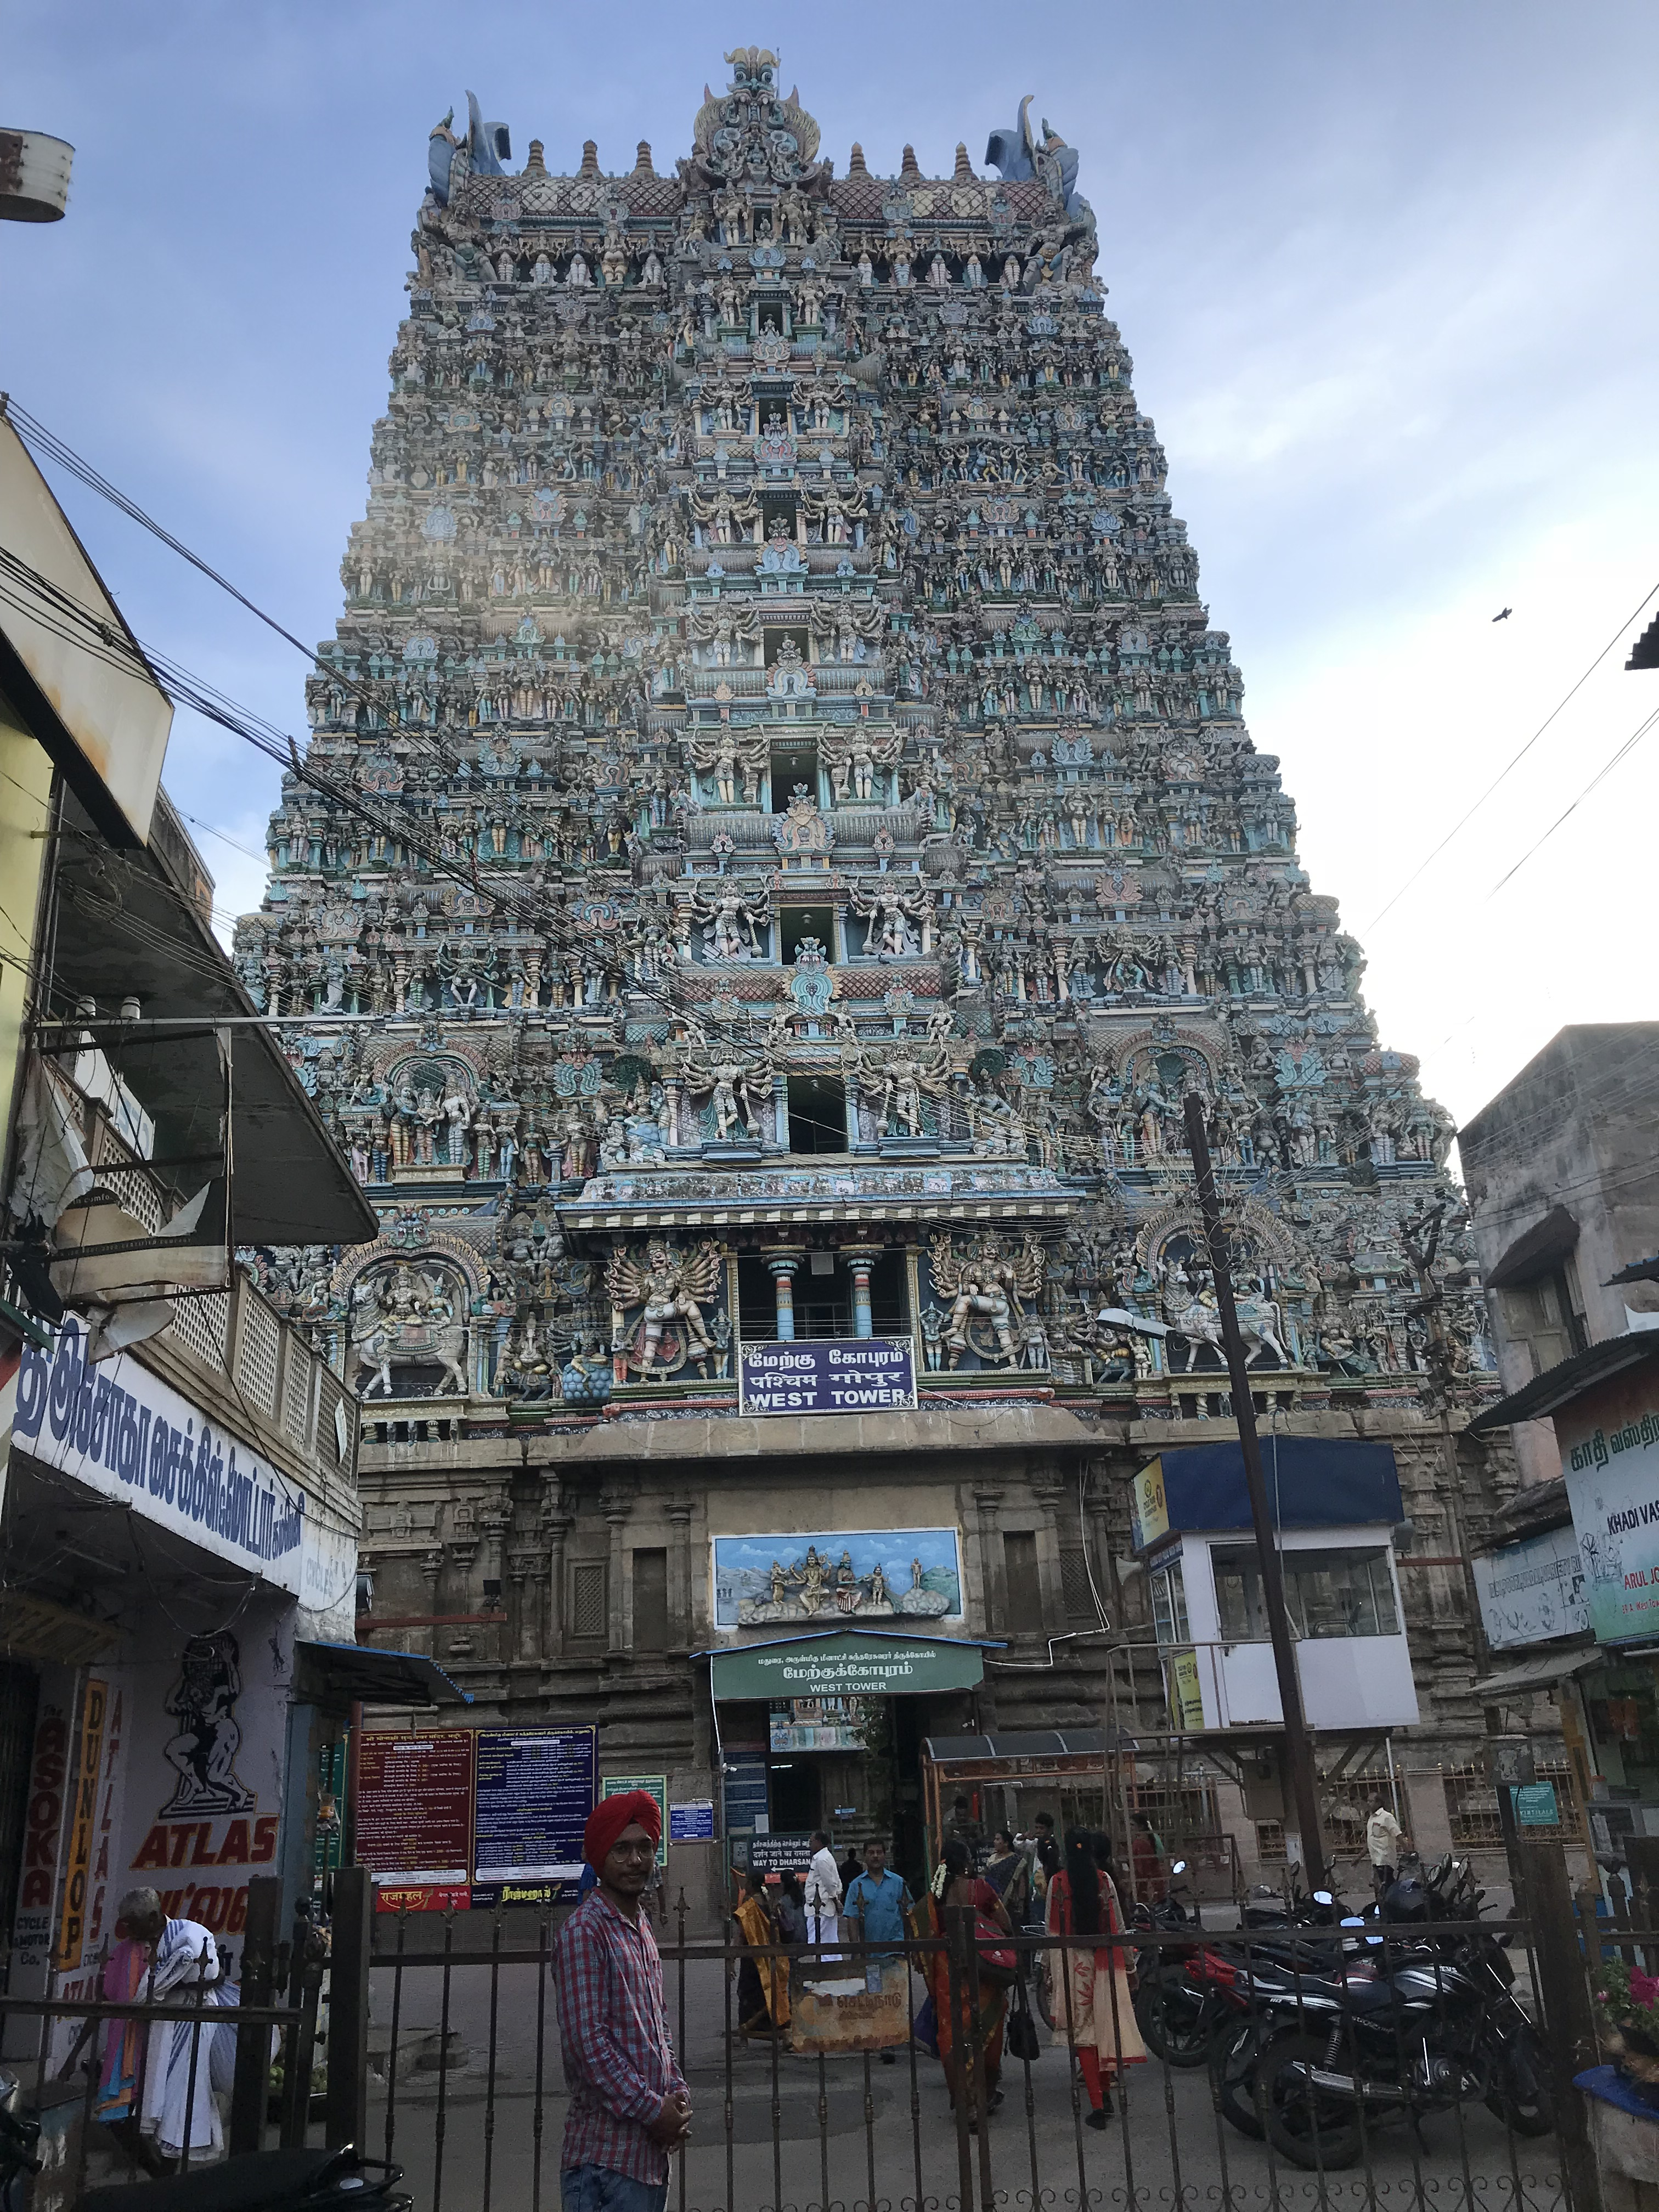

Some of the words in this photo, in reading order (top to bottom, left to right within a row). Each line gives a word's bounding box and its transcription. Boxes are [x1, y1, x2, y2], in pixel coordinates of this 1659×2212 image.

[746, 1347, 818, 1373] மேற்கு
[826, 1345, 905, 1369] கோபுரம்
[748, 1368, 819, 1391] पश्चिम
[828, 1363, 906, 1390] गोपुर
[746, 1389, 819, 1410] WEST
[830, 1386, 909, 1407] TOWER
[1608, 1408, 1658, 1455] வஸ்சி
[1564, 1424, 1612, 1473] காதி
[1604, 1504, 1642, 1537] KHADI
[1620, 1567, 1650, 1593] ARUL
[755, 1652, 786, 1667] மதுரை
[783, 1650, 821, 1666] அருள்மிகு
[817, 1649, 849, 1664] மீனாட்சி
[847, 1649, 895, 1664] சுந்தரேசுவரா்
[891, 1647, 939, 1663] திருக்கோயில்
[777, 1660, 917, 1683] மேற்குக்கோபுரம்
[808, 1681, 845, 1696] WEST
[840, 1679, 889, 1694] TOWER
[15, 1716, 69, 1909] ASOKA
[126, 1812, 281, 1870] ATLAS
[750, 1835, 783, 1850] தரிசனத்திற்கு
[778, 1836, 803, 1850] செல்லும்
[751, 1857, 769, 1870] WAY
[749, 1846, 771, 1860] दर्शन
[766, 1858, 780, 1868] TO
[770, 1846, 786, 1860] जाने
[781, 1848, 795, 1860] का
[777, 1853, 813, 1868] DHARSAN
[792, 1848, 812, 1858] रासता
[377, 1889, 425, 1905] राजमहल
[497, 1884, 554, 1905] ராஜ்மஹால்
[14, 1910, 51, 1933] CYCLE
[12, 1931, 53, 1951] MOTOR